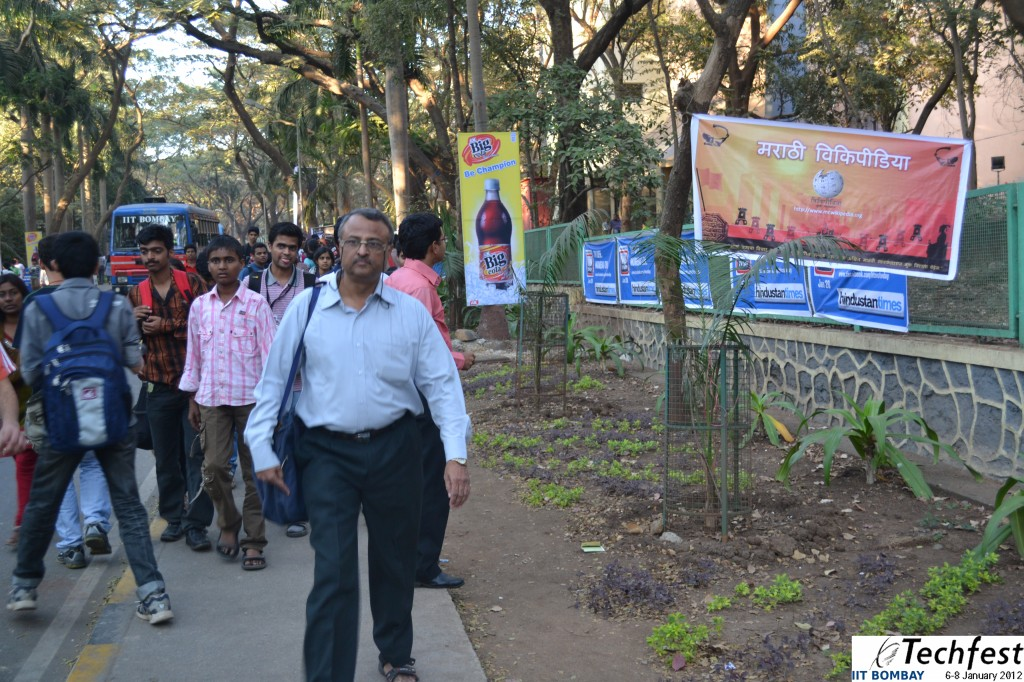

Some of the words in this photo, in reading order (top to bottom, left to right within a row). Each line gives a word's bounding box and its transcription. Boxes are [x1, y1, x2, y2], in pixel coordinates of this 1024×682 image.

[467, 131, 498, 155] Big
[471, 155, 519, 180] Champion
[756, 137, 809, 165] मराठी
[808, 137, 915, 173] विकिपीडिया
[753, 283, 806, 301] hindustantimes
[837, 289, 905, 315] hindustantimes
[898, 635, 1024, 672] Techfest
[849, 668, 871, 681] IIT
[868, 667, 926, 680] BOMBAY